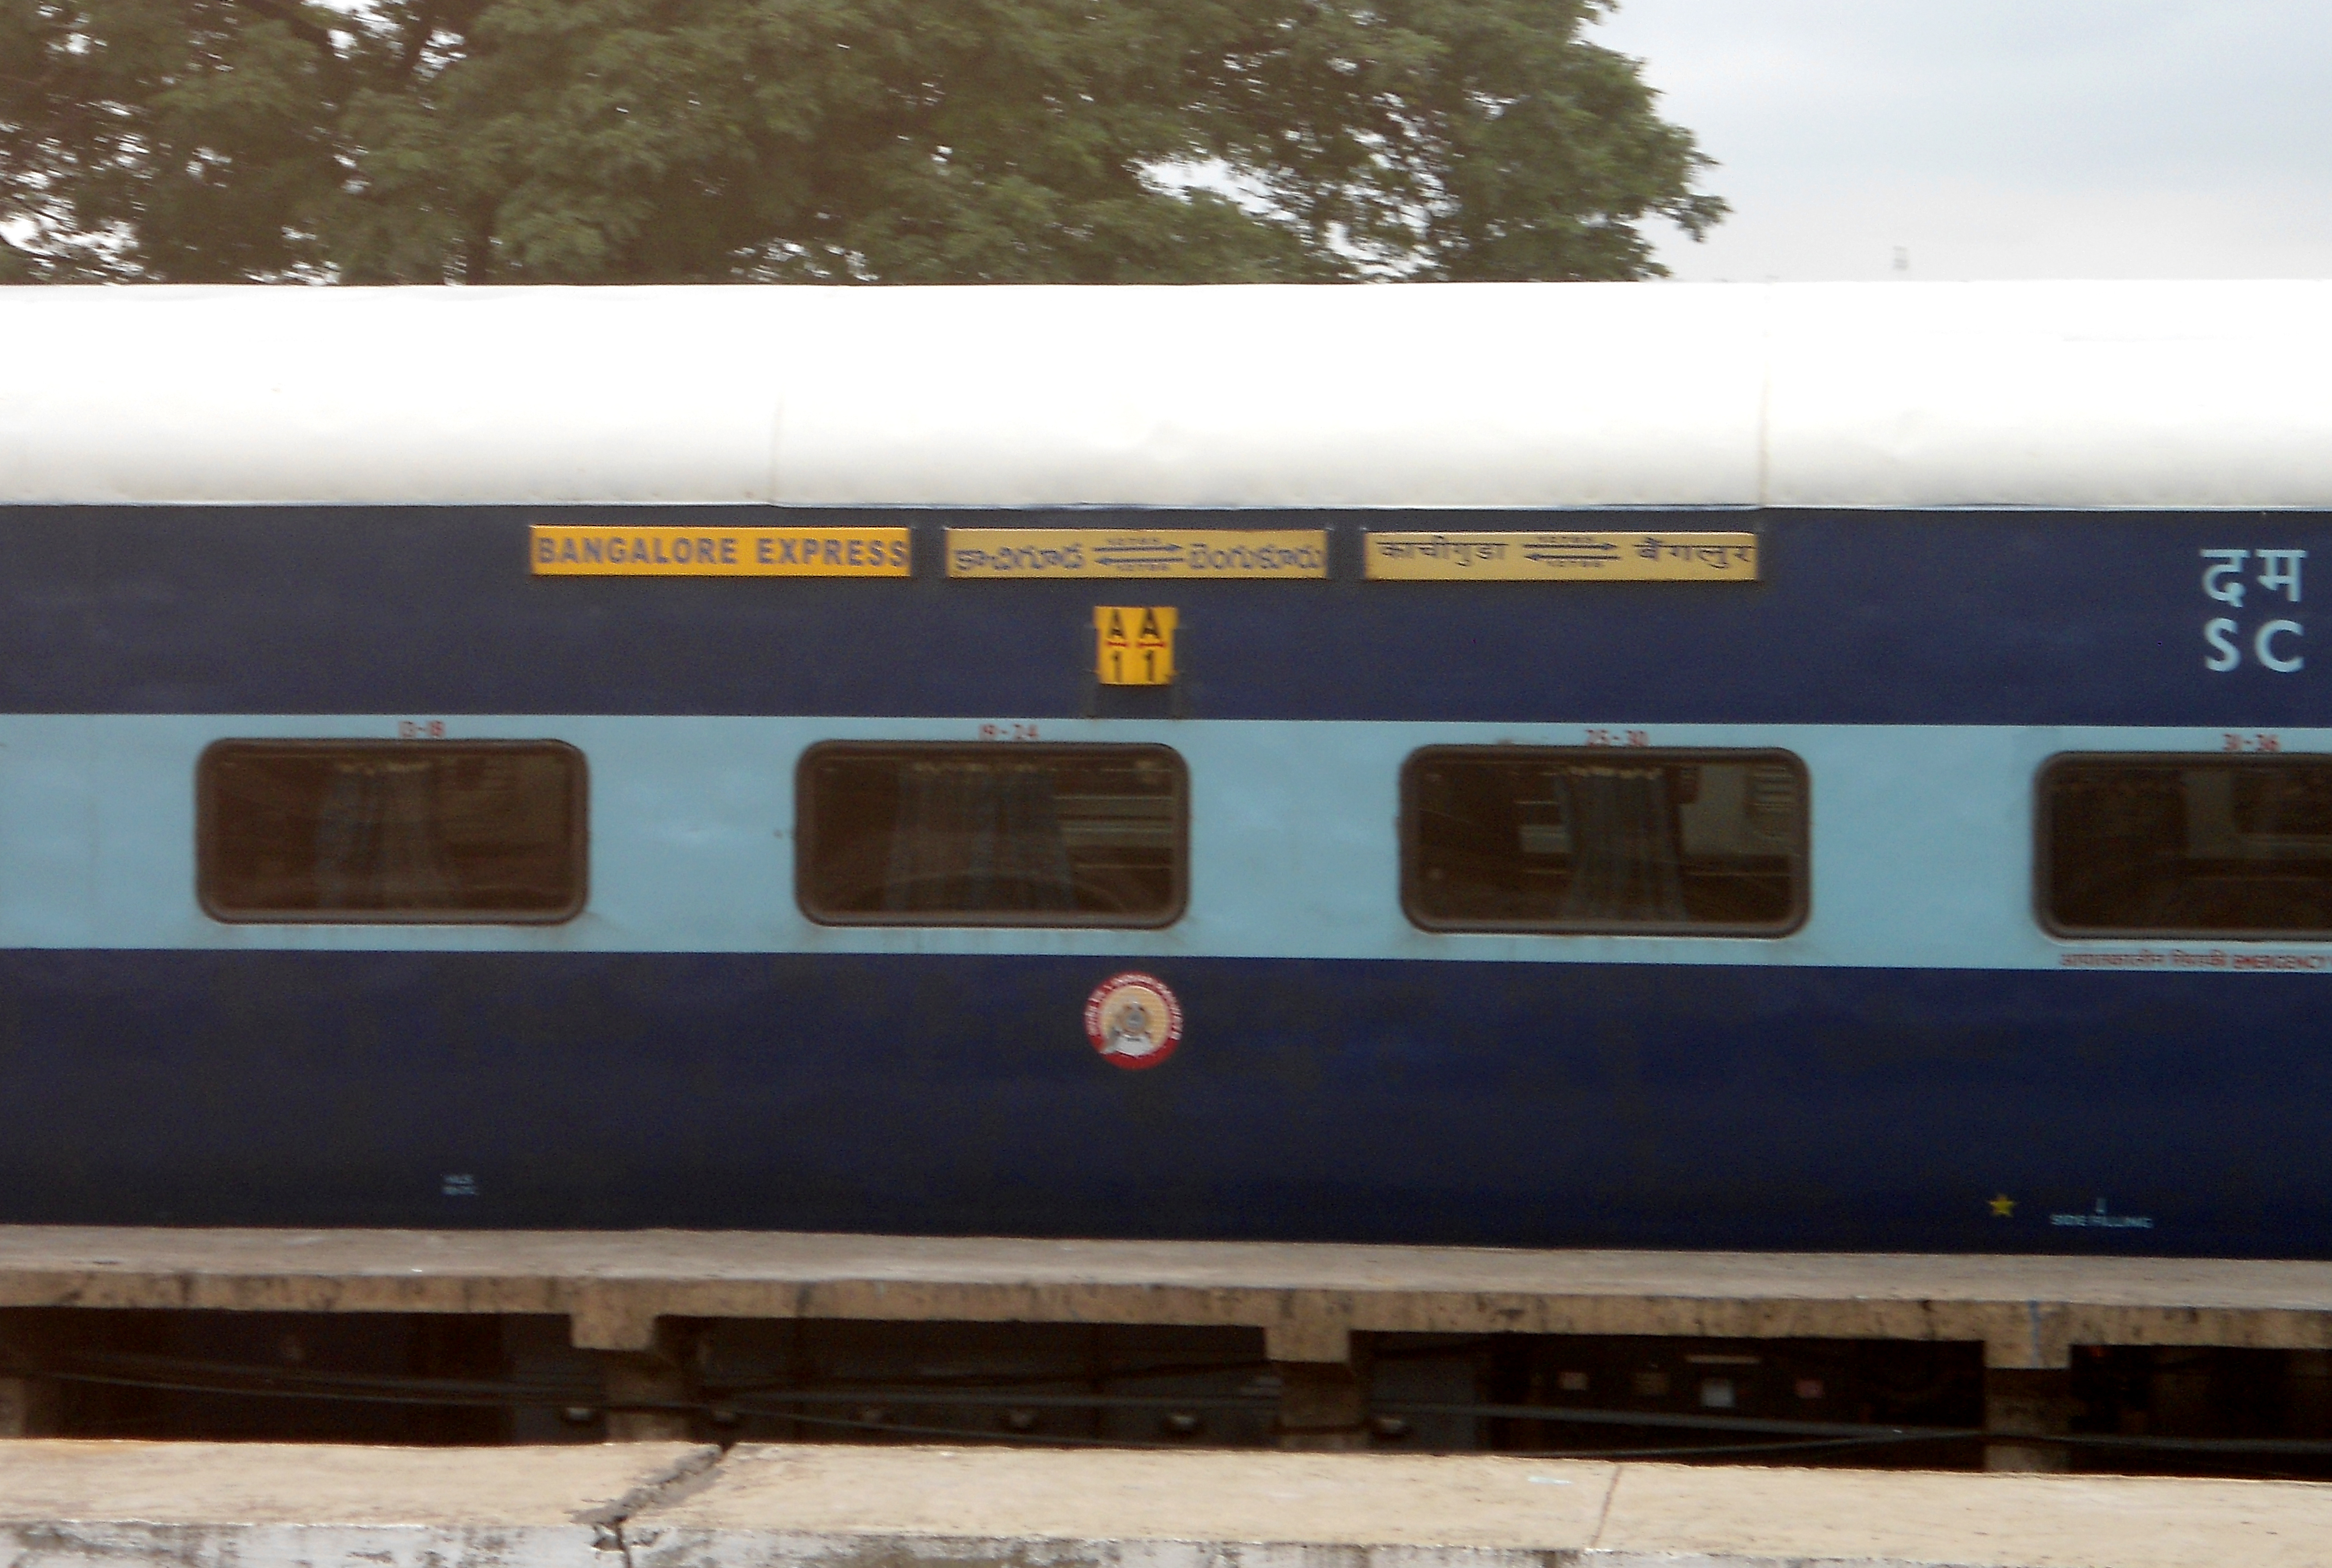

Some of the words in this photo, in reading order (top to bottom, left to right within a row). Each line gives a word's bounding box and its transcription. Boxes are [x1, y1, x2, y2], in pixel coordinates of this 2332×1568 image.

[537, 535, 738, 569] BANGALORE
[755, 534, 907, 570] EXPRESS
[946, 541, 1087, 576] కాచిగూడ
[1177, 538, 1321, 573] బెంగళూరు
[1373, 529, 1513, 573] काचीगुडा
[1627, 529, 1756, 575] बैंगलुर
[2188, 543, 2313, 612] दम
[2191, 605, 2309, 685] SC